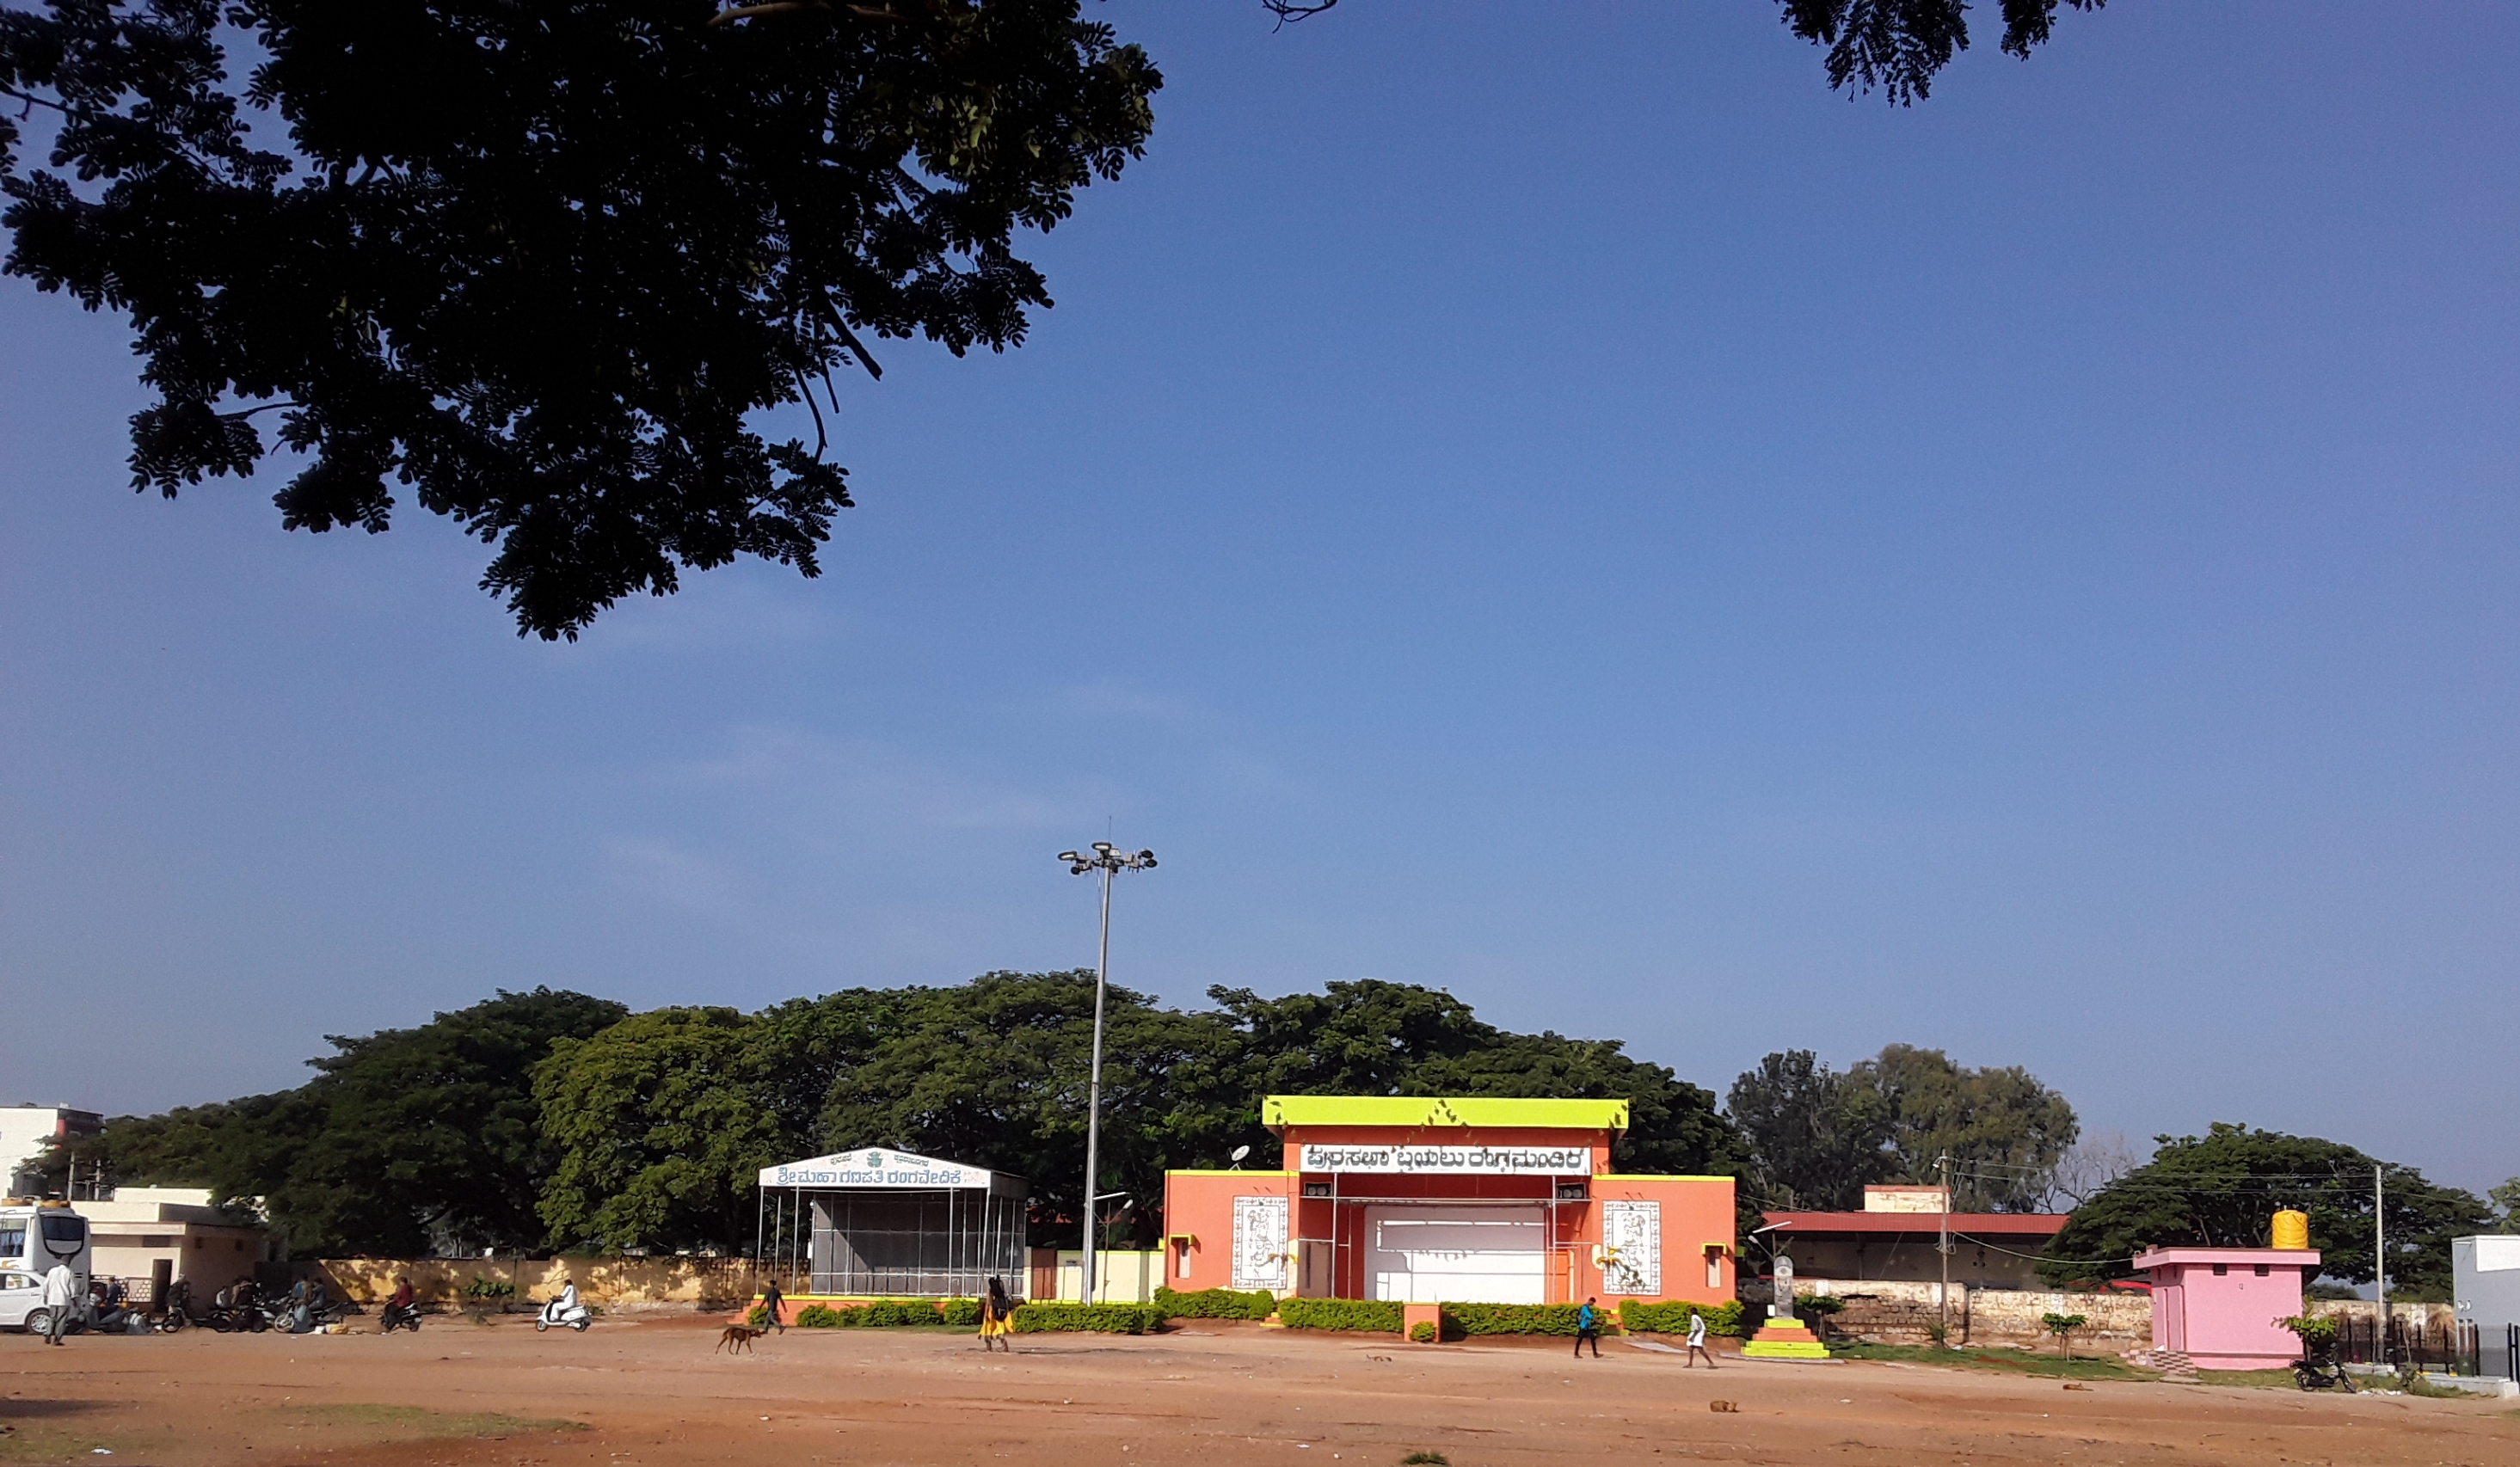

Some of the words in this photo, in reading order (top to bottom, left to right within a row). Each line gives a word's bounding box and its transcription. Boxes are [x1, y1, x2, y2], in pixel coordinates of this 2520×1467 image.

[1300, 1138, 1395, 1173] ಪ್ರರಸಭಾ
[1392, 1144, 1472, 1172] ಬಯಲು
[1461, 1138, 1583, 1175] ರಾಗಮಂಡಿದ
[773, 1163, 888, 1189] ಶ್ರೀ ಮಹಾಗಣಪತಿ
[880, 1167, 966, 1188] ರಂಗವೇದಿಕೆ